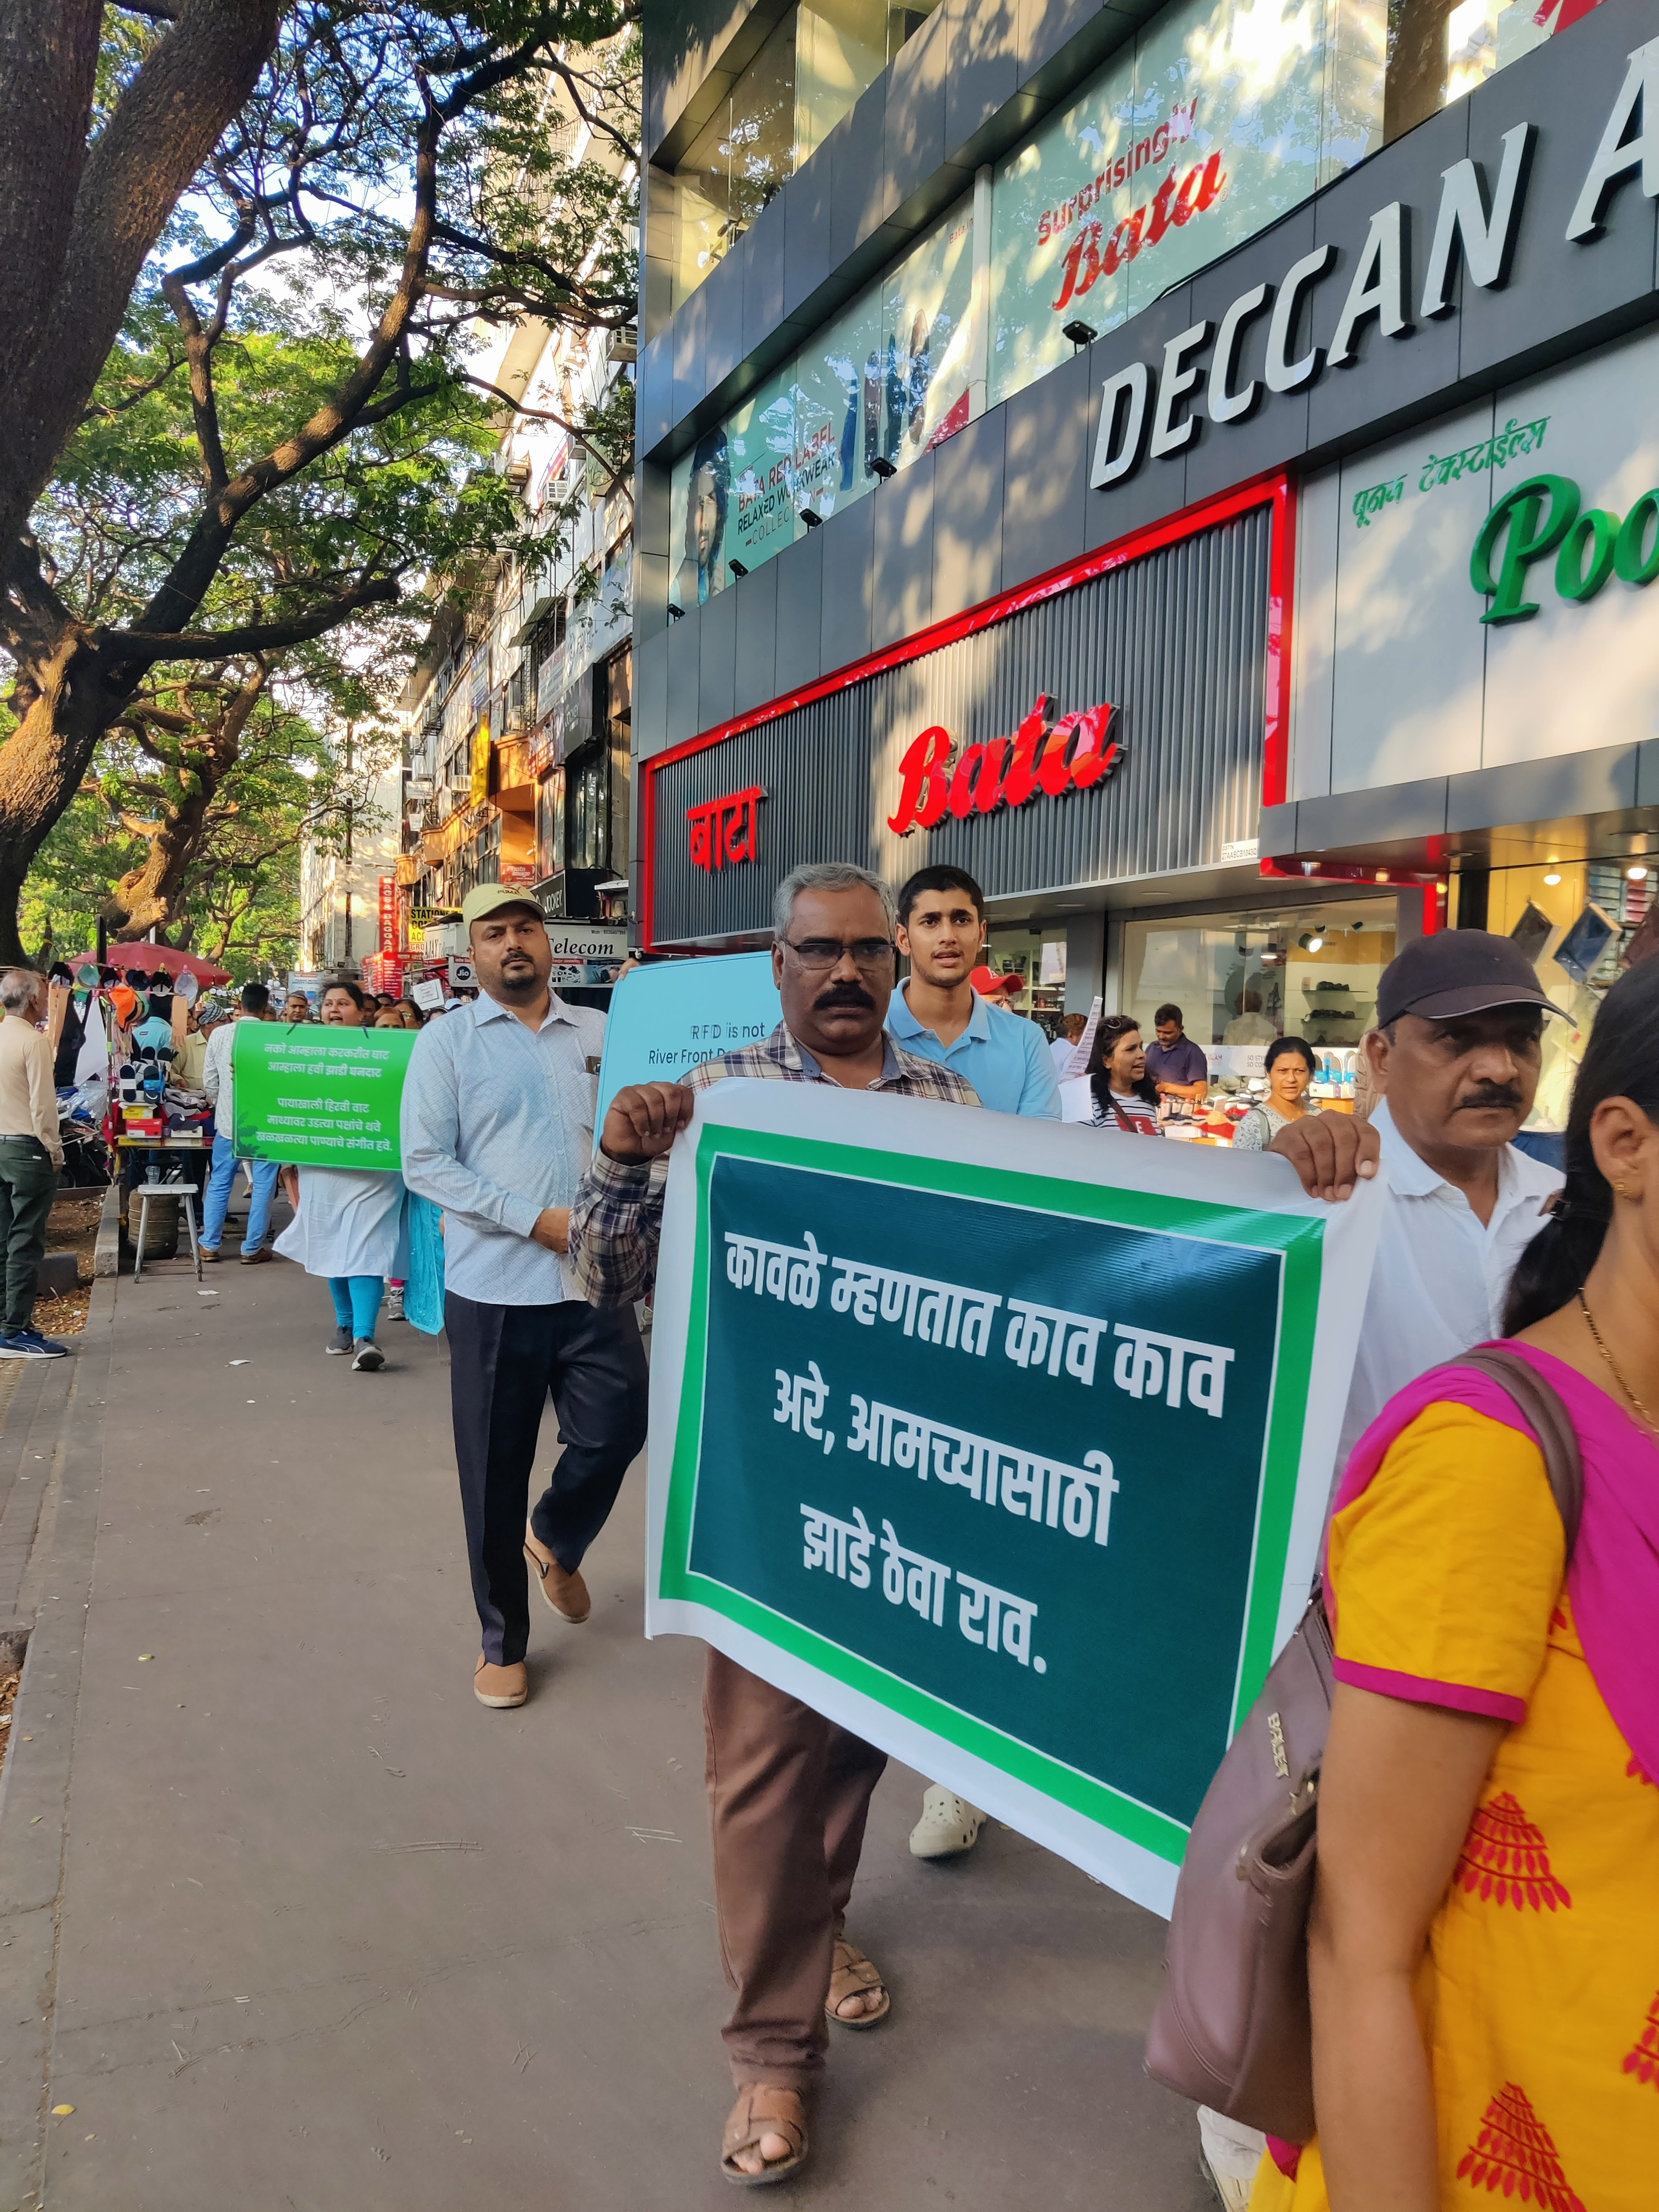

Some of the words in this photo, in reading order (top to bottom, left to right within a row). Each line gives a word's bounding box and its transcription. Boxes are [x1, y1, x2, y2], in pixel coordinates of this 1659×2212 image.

[1027, 86, 1208, 250] 20007610524
[1037, 143, 1243, 321] Bata
[1076, 108, 1548, 505] DECCAN
[1413, 412, 1556, 495] टेक्स्टाईल्स
[1347, 468, 1411, 535] पूनम
[735, 492, 778, 540] RELAXED
[1457, 467, 1658, 632] Poo
[878, 684, 1137, 843] Bata
[682, 779, 775, 888] बाटा
[552, 936, 616, 957] elecom
[687, 1019, 726, 1045] RFD
[724, 1019, 740, 1044] is
[740, 1020, 769, 1042] not
[260, 1037, 289, 1056] नको
[265, 1059, 308, 1076] आम्हाला
[287, 1042, 328, 1058] आम्हाला
[306, 1060, 325, 1078] हवी
[325, 1061, 349, 1079] झाडी
[326, 1045, 372, 1062] करकरीत
[348, 1062, 387, 1080] घनदाट
[370, 1047, 393, 1063] घाट
[646, 1044, 679, 1069] River
[678, 1046, 715, 1067] Front
[275, 1093, 325, 1113] पायाखाली
[324, 1096, 351, 1115] हिरवी
[351, 1100, 374, 1115] वाट
[265, 1112, 306, 1130] माथ्यावर
[306, 1114, 335, 1132] उडत्या
[335, 1117, 365, 1133] पक्षांचे
[363, 1118, 384, 1134] थवे
[253, 1129, 309, 1148] खळखळत्या
[309, 1131, 346, 1151] पाण्याचे
[345, 1134, 375, 1154] संगीत
[374, 1136, 395, 1155] हवे.
[718, 1221, 832, 1318] कावळे
[822, 1246, 1006, 1364] म्हणतात
[997, 1289, 1110, 1391] काव
[1104, 1315, 1241, 1425] काव
[758, 1354, 844, 1462] अरे,
[842, 1390, 1130, 1553] आमच्यासाठी
[787, 1491, 878, 1600] झाडे
[874, 1510, 955, 1636] ठेवा
[953, 1561, 1053, 1681] राव.